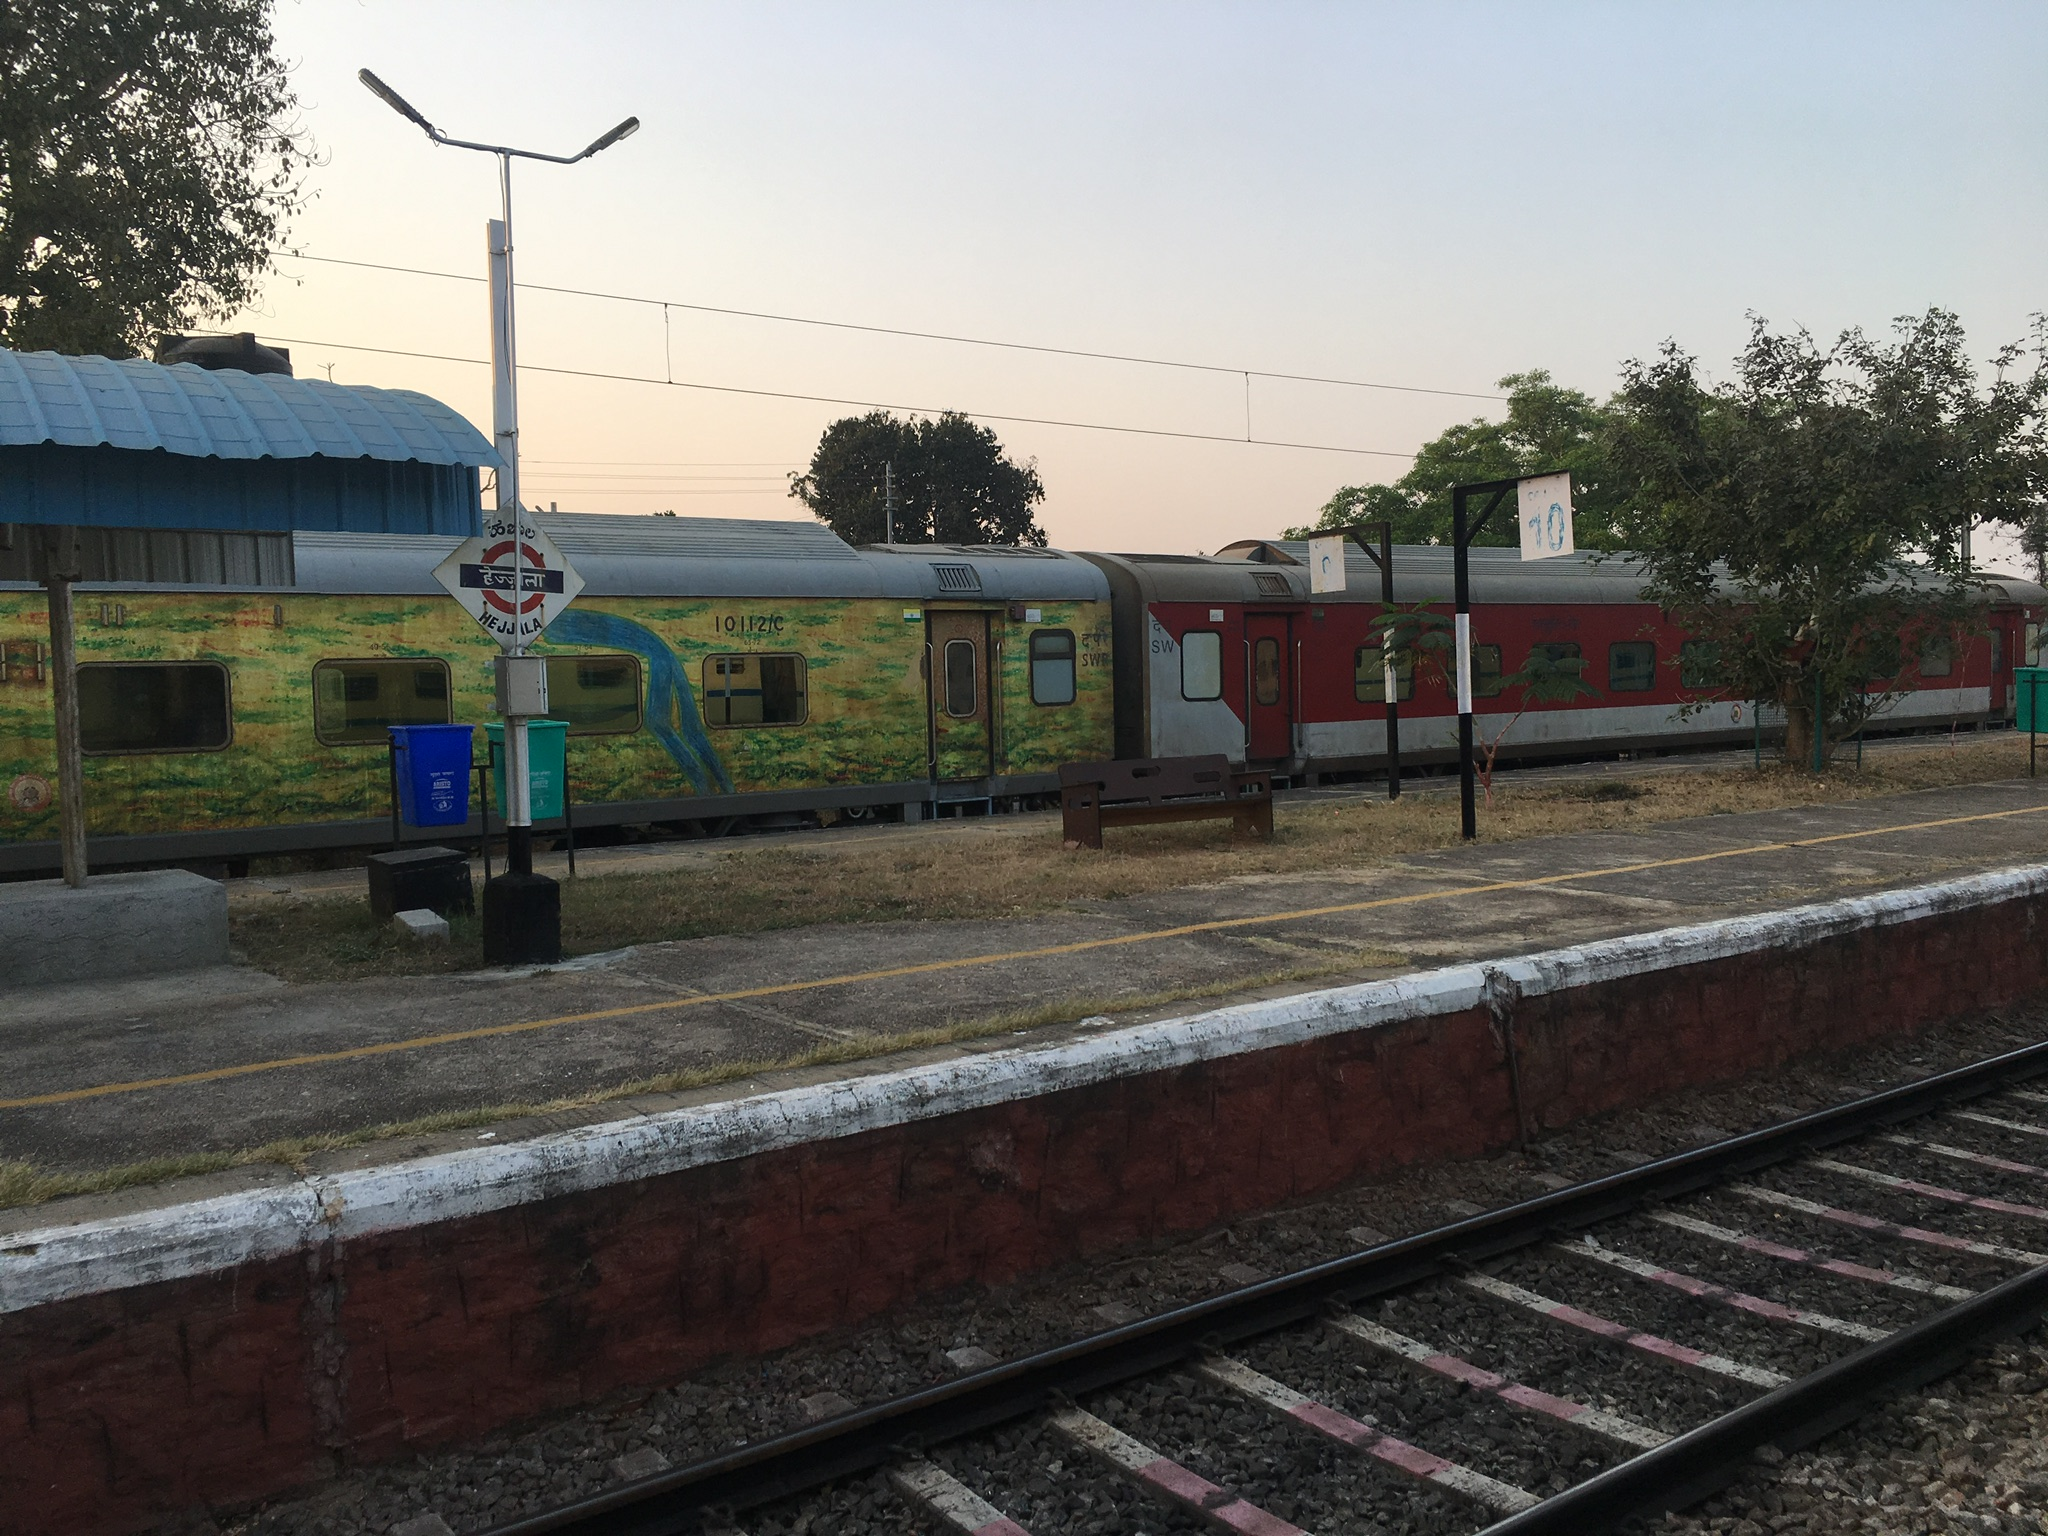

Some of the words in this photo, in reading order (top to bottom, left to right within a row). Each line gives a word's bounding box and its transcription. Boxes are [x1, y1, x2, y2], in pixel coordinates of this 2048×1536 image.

[482, 510, 538, 543] ಹೆಲ
[475, 561, 550, 589] हेज्जा़ला
[471, 604, 548, 638] HEJJILA
[711, 611, 788, 636] 10112/C